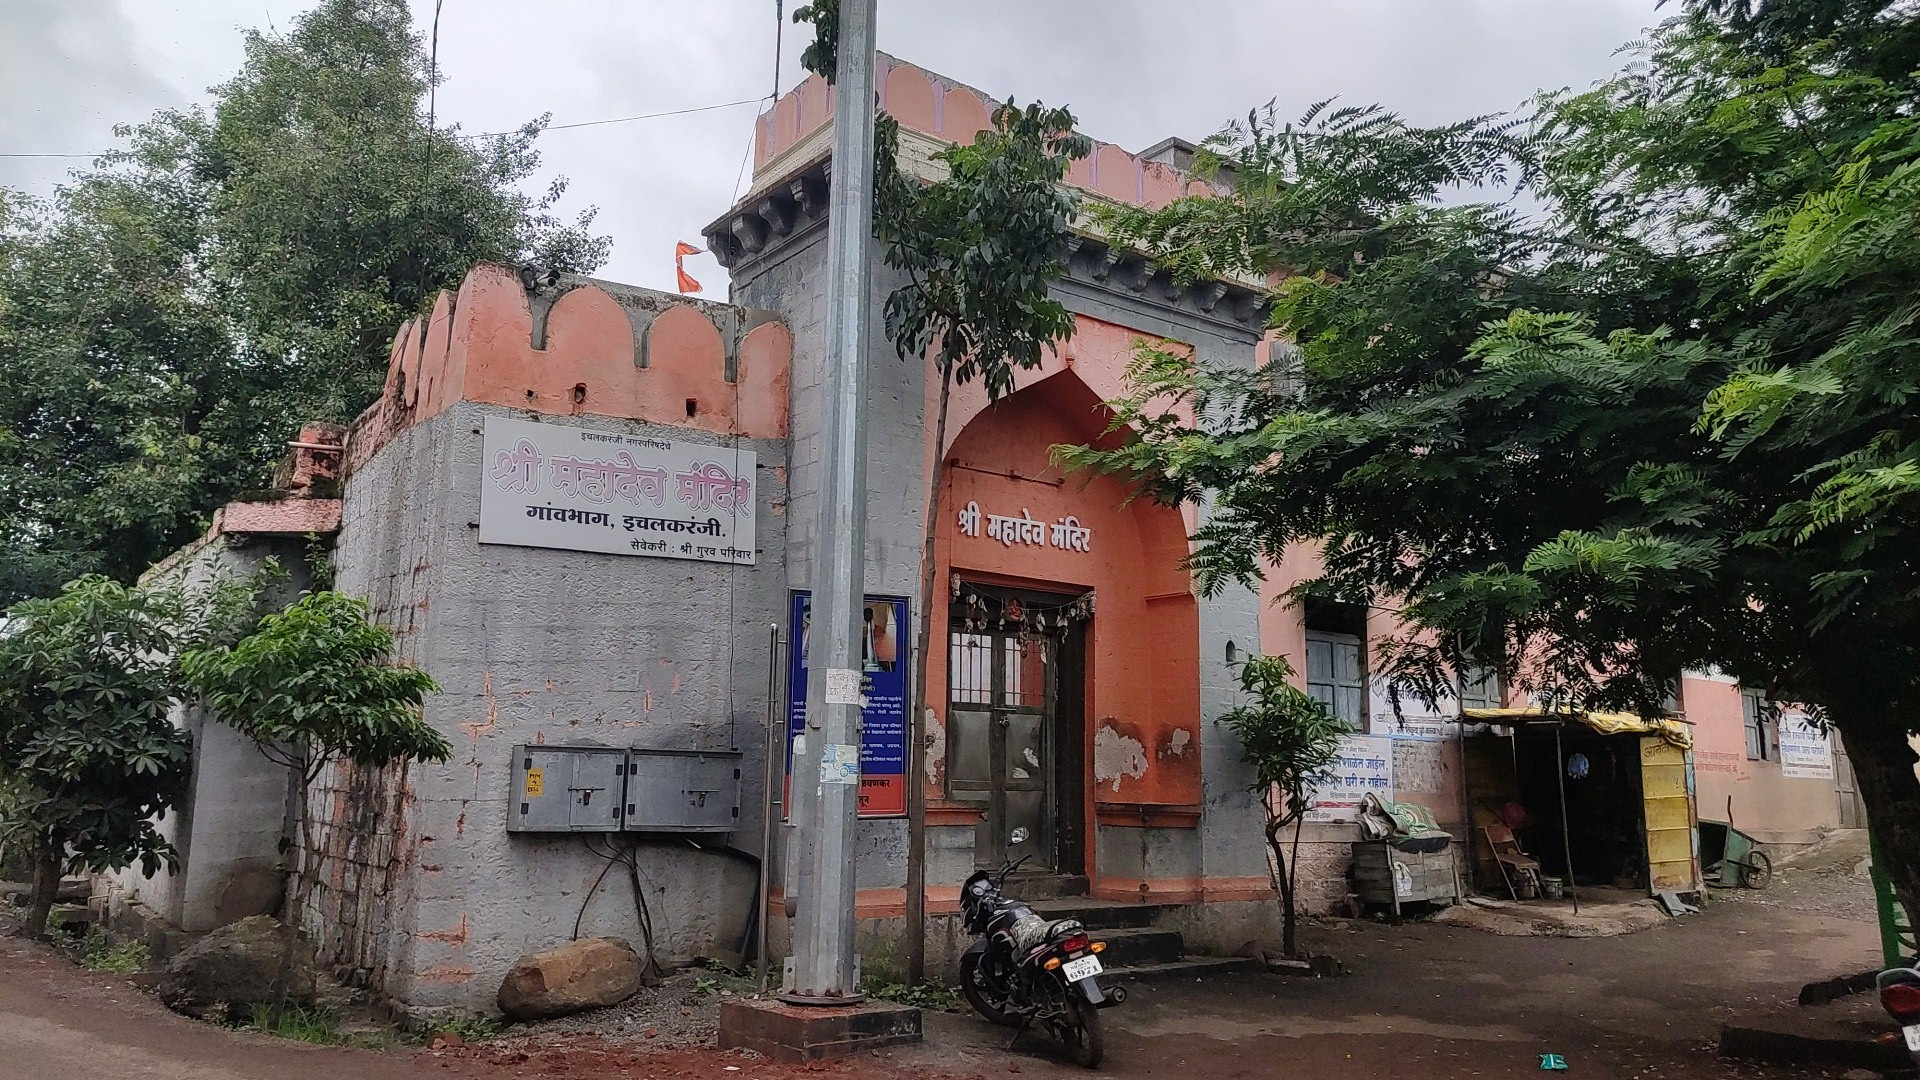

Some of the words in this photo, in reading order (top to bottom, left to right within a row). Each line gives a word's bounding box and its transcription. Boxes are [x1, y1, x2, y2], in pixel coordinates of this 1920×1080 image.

[571, 428, 626, 447] इचलकरंजी
[623, 433, 678, 453] नगरपरिषदेचे
[482, 428, 559, 501] श्री
[547, 444, 679, 511] महादेव
[666, 451, 757, 521] मंदिर
[522, 502, 607, 527] गांवभाग
[623, 531, 671, 555] सेवेकरी
[618, 511, 731, 541] इचलकरंजी.
[674, 533, 697, 559] श्री
[692, 537, 720, 562] गुरव
[713, 538, 756, 563] परिवार
[950, 497, 988, 543] श्री
[983, 506, 1046, 552] महादेव
[1045, 512, 1092, 558] मंदिर
[1339, 748, 1369, 774] शाळेत ज
[1362, 750, 1394, 778] जाईल,
[1339, 767, 1364, 791] घरी न
[1354, 770, 1373, 792] न र
[1362, 769, 1392, 795] राहील,